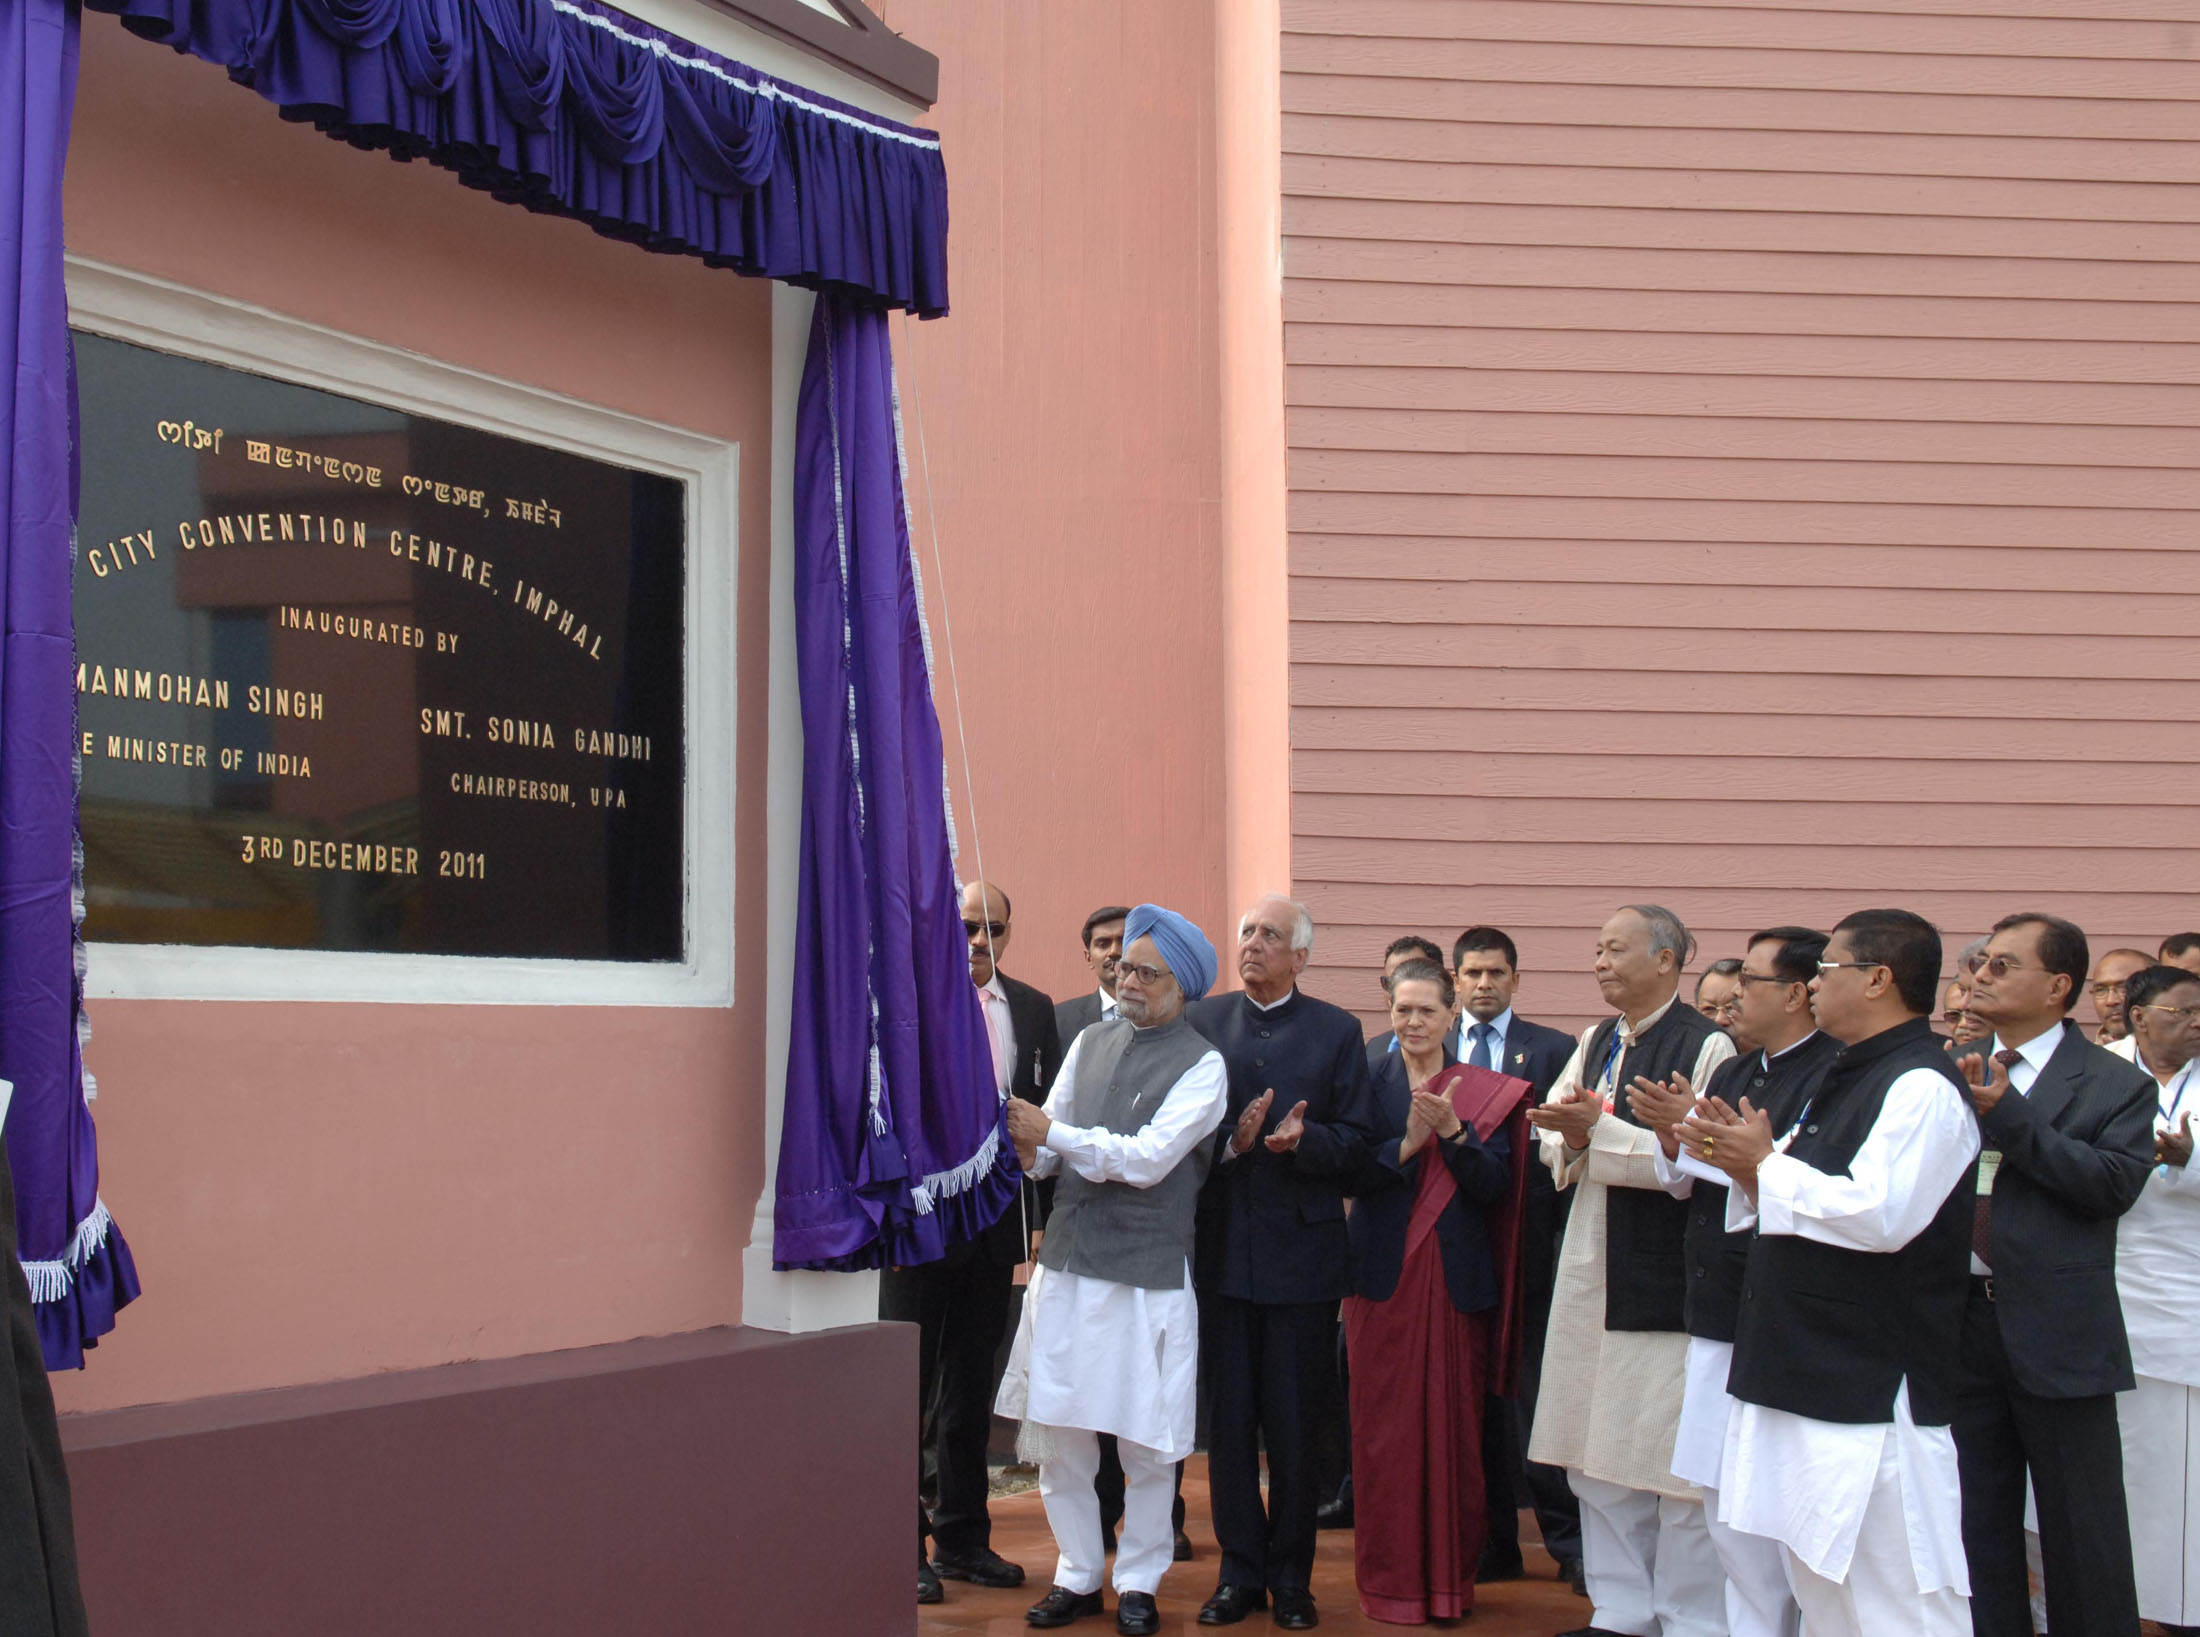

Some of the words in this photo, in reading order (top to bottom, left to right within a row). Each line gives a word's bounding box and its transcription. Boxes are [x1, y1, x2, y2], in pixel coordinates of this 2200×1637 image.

[153, 414, 224, 458] ꯁꯤꯇꯤ
[242, 438, 384, 489] ꯀꯟꯚꯦꯟꯁꯟ
[175, 505, 368, 556] CONVENTION
[397, 472, 486, 512] ꯁꯦꯟꯇꯔ
[495, 489, 566, 534] ꯏꯝꯐꯥꯜ
[80, 523, 160, 585] CITY
[384, 527, 497, 589] CENTRE
[278, 601, 434, 654] INAUGURATED
[426, 627, 464, 663] BY
[510, 581, 608, 661] IMPHAL
[98, 732, 206, 770] MINISTER
[71, 659, 234, 714] MANMOHAN
[213, 741, 248, 776] OF
[253, 747, 315, 781] INDIA
[242, 681, 328, 723] SINGH
[412, 701, 472, 743] SMT.
[477, 707, 561, 752] SONIA
[569, 723, 657, 766] GANDHI
[447, 766, 575, 808] CHAIRPERSON,
[583, 783, 628, 816] UPA
[235, 830, 286, 867] 3RD
[287, 836, 425, 877] DECEMBER
[430, 845, 490, 887] 2011